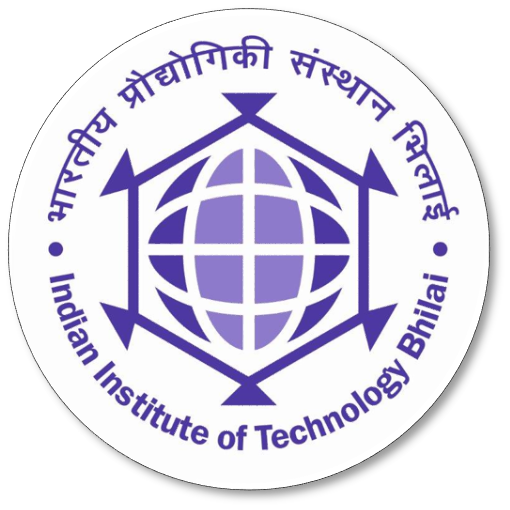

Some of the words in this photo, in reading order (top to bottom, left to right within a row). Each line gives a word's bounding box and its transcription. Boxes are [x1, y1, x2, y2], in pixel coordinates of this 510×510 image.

[113, 29, 278, 115] प्रौद्योगिकी
[287, 45, 400, 129] संस्थान
[41, 100, 122, 231] भारतीय
[386, 116, 463, 225] भिलाई
[46, 269, 105, 375] Indian
[395, 265, 454, 365] Bhilai
[89, 358, 213, 449] Institute
[214, 420, 251, 453] of
[255, 357, 415, 456] Technology